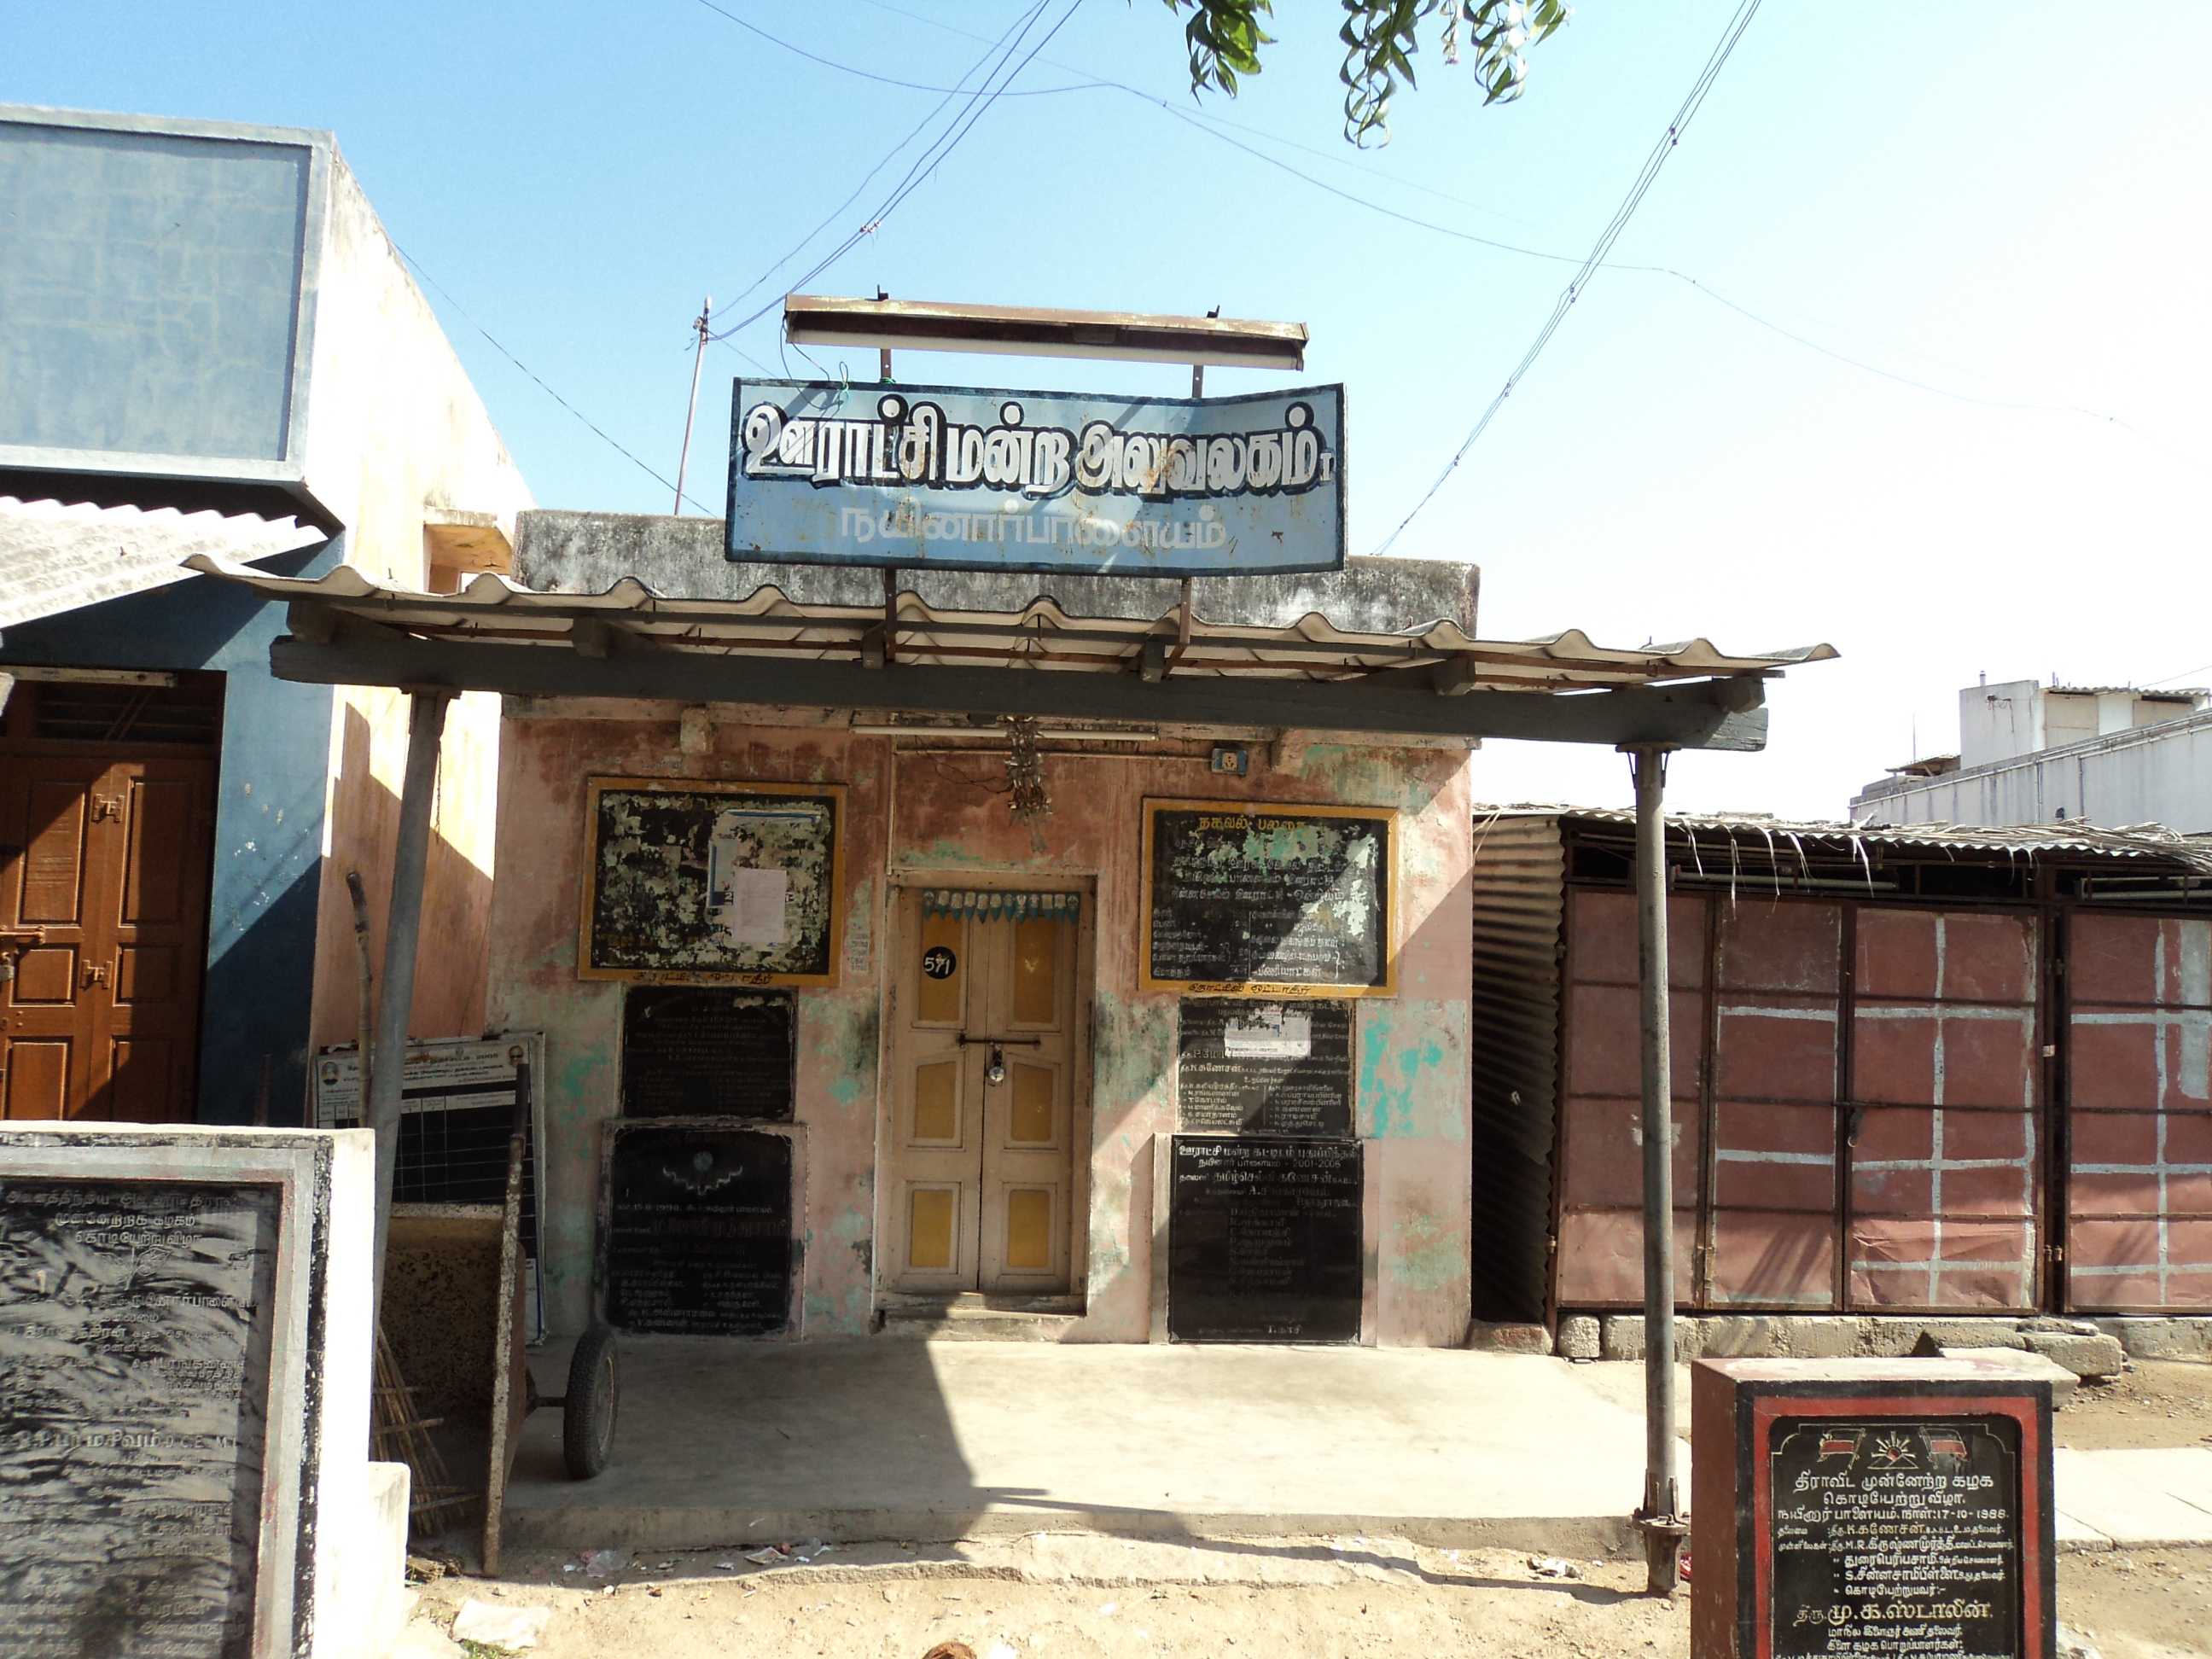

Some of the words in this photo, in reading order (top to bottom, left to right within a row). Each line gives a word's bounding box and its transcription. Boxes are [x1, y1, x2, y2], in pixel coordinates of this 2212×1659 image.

[740, 389, 1074, 499] ஊராட்சிமன்ற
[1071, 399, 1331, 505] அலுவலகம்
[1194, 808, 1254, 834] தகவல்
[1182, 976, 1248, 998] நோட்டீஸ்
[1247, 979, 1315, 998] ஒட்டாதீர்
[1175, 1141, 1225, 1161] ஊராட்சி
[1220, 1138, 1254, 1161] மன்ற
[1249, 1143, 1299, 1160] கட்டிடம்
[1209, 1164, 1279, 1189] தமிழ்செல்வி
[1, 1185, 117, 1209] அவளத்திந்திய
[51, 1205, 151, 1231] முன்னேற்றக
[149, 1211, 200, 1233] கழகம்
[74, 1228, 202, 1250] கொடியேற்று விழா
[1789, 1464, 1857, 1495] திராவிட
[1858, 1467, 1950, 1494] முன்னேற்ற
[1950, 1471, 1995, 1494] கழக
[1819, 1484, 1930, 1511] கொடியேற்று
[1924, 1486, 1968, 1509] வீழா.
[1773, 1501, 1836, 1527] நயினார்
[1831, 1501, 1903, 1523] பாளையம்
[1895, 1506, 2011, 1524] நாள்:17-10-1988.
[1822, 1517, 1930, 1538] :திரு.K.கணேசன்
[1773, 1535, 1830, 1554] முன்னிலகள்
[1840, 1578, 1948, 1599] கொடியேற்றுபவர்:-
[1791, 1593, 1997, 1629] திரு.மு.க.ஸ்டாலின்.
[1824, 1621, 1865, 1641] மாநில
[1856, 1619, 1905, 1641] இளைஞர்
[1896, 1619, 1931, 1640] அணி
[1920, 1621, 1965, 1643] தலேவர்
[1848, 1636, 1883, 1658] கழக
[1873, 1633, 1966, 1654] பொறுப்பாளர்கள்: